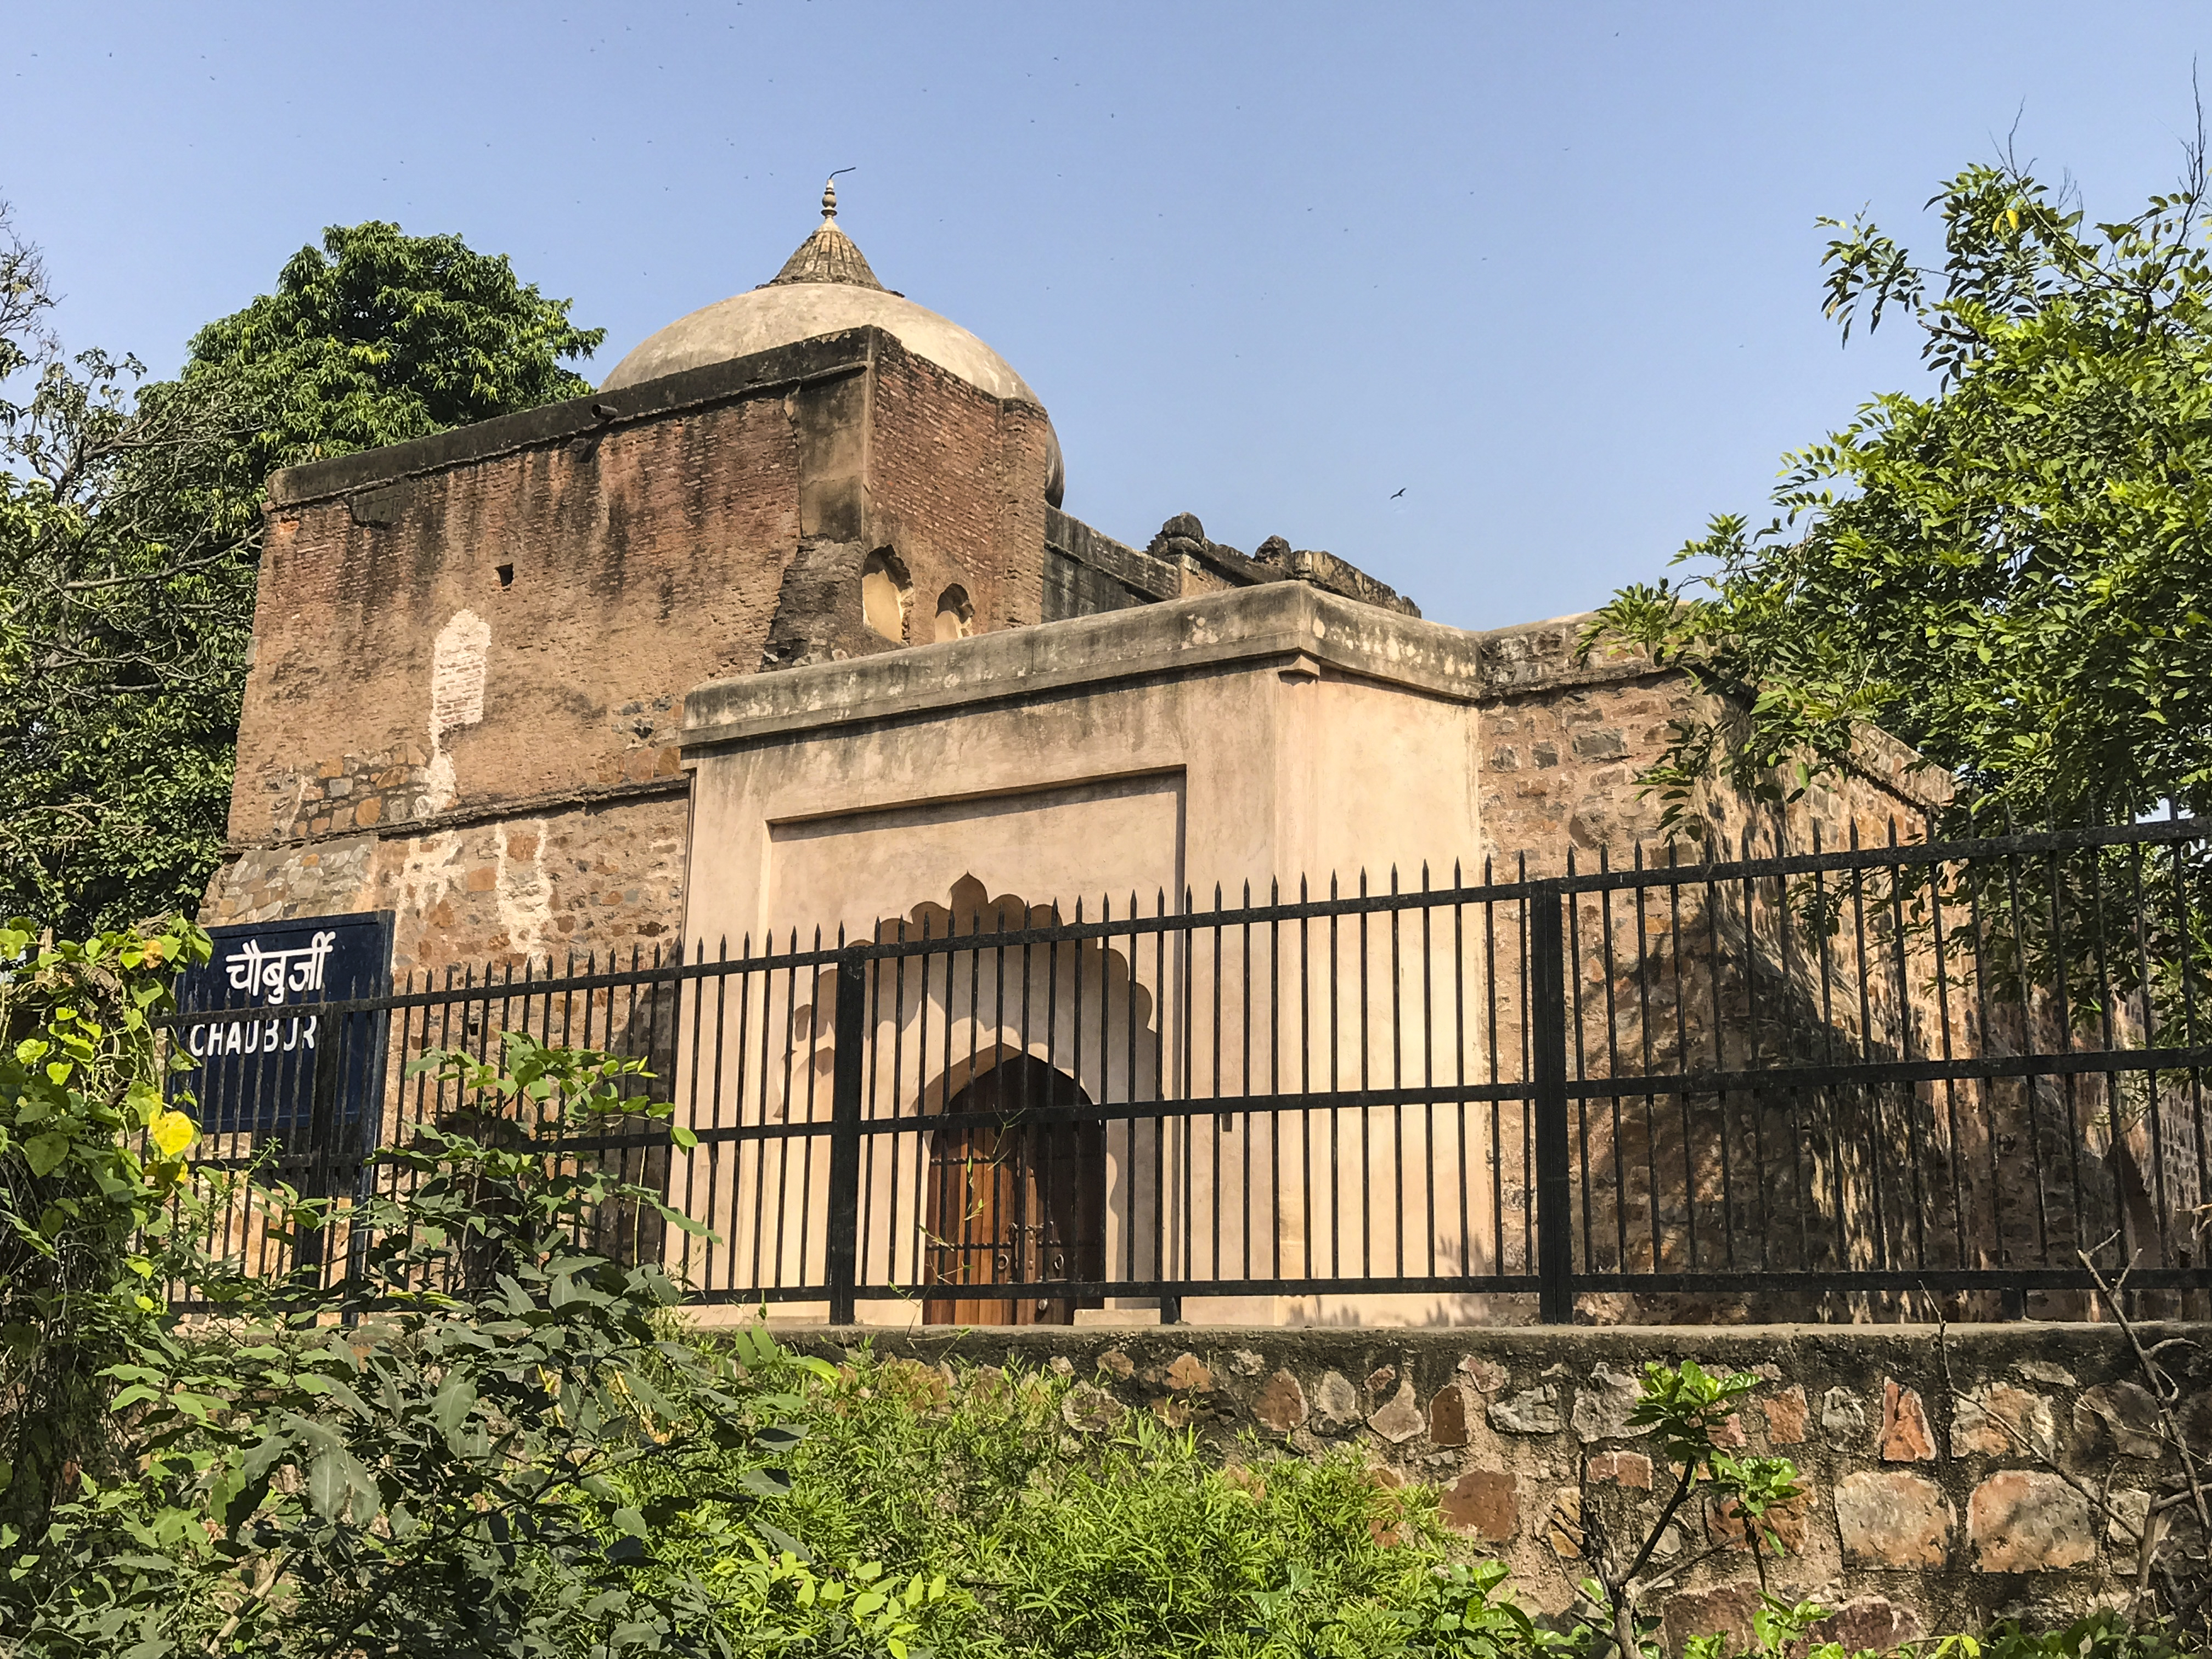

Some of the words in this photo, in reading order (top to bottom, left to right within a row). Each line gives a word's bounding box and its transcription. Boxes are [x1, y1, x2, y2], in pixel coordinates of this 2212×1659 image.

[224, 930, 338, 1006] चौबुर्जी
[188, 1013, 318, 1059] CHAUBJR